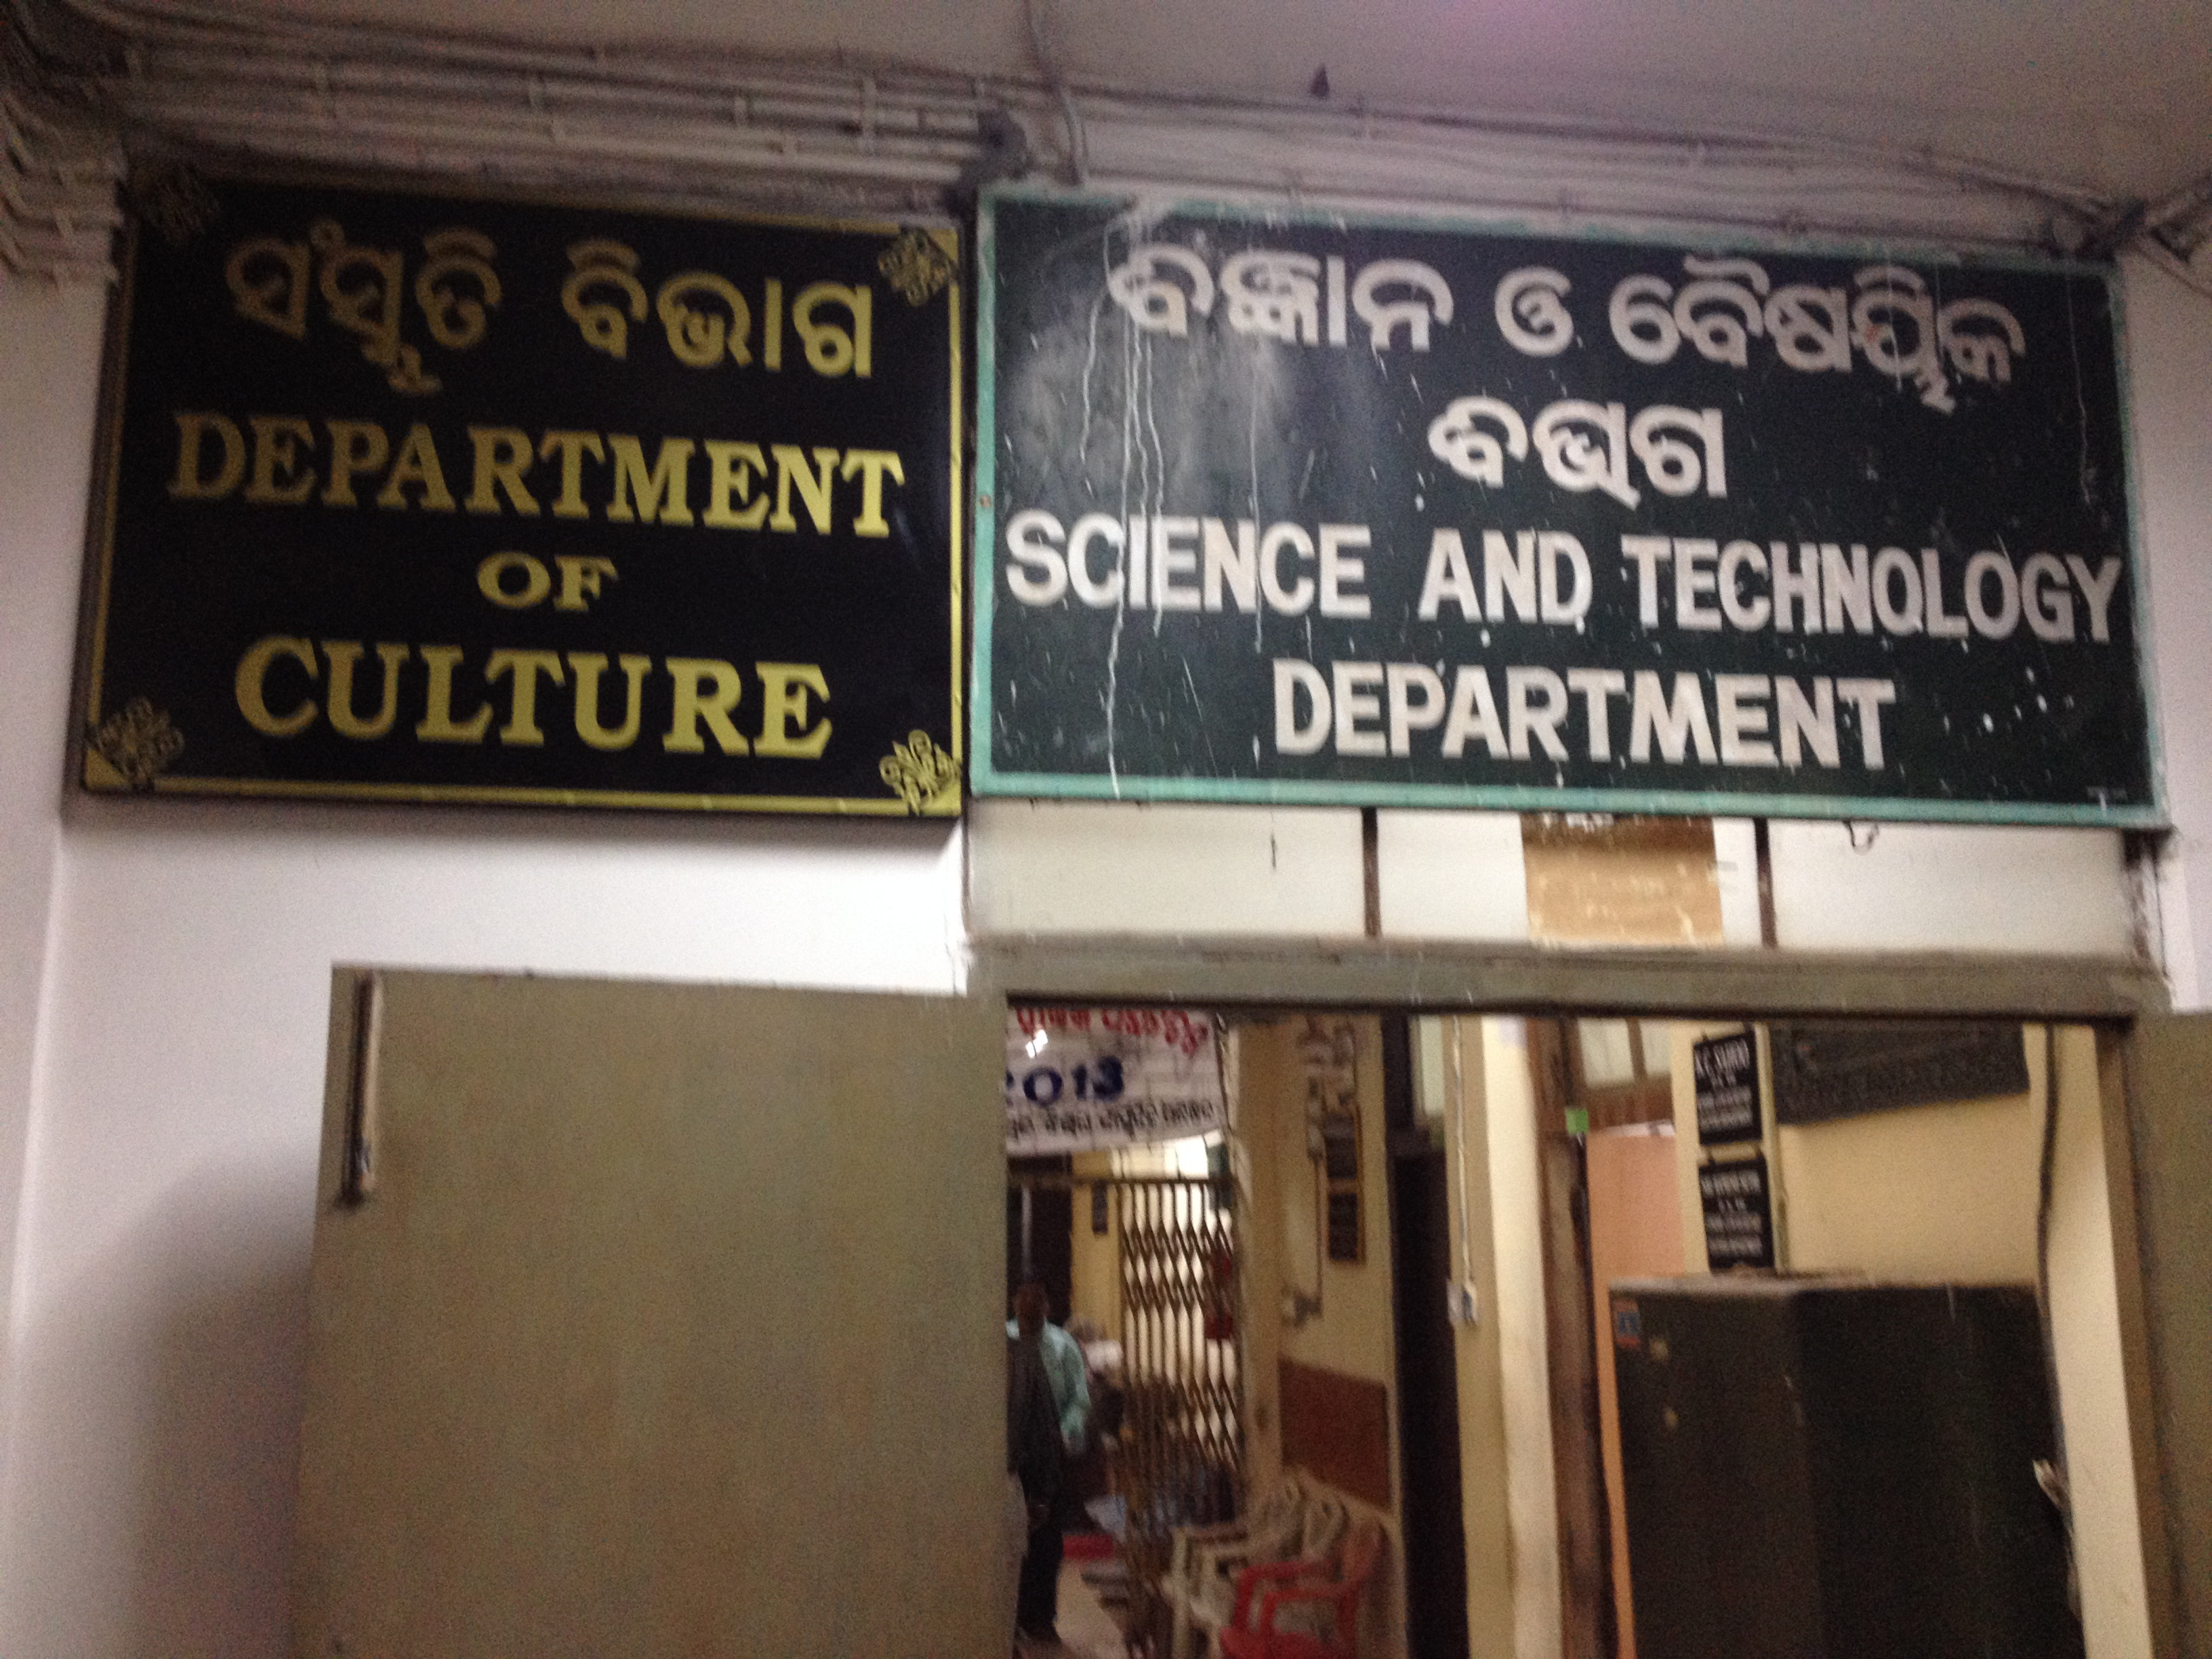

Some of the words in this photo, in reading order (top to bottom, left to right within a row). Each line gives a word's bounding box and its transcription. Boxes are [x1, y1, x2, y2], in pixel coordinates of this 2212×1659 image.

[221, 207, 512, 404] ସଂସ୍କୃତି
[546, 230, 880, 390] ବିଭାଗ
[1092, 229, 1462, 362] ବଜ୍ଞାନ
[1469, 259, 1576, 371] ଓ
[1601, 239, 2034, 420] ବୈଷୟିକ
[163, 407, 915, 546] DEPARTMENT
[1408, 384, 1734, 510] ବଭଗ
[466, 546, 624, 618] OF
[1002, 499, 1378, 624] SCIENCE
[1405, 518, 1601, 640] AND
[1615, 528, 2132, 653] TECHNOLOGY
[227, 633, 845, 769] CULTURE
[1267, 653, 1908, 775] DEPARTMENT